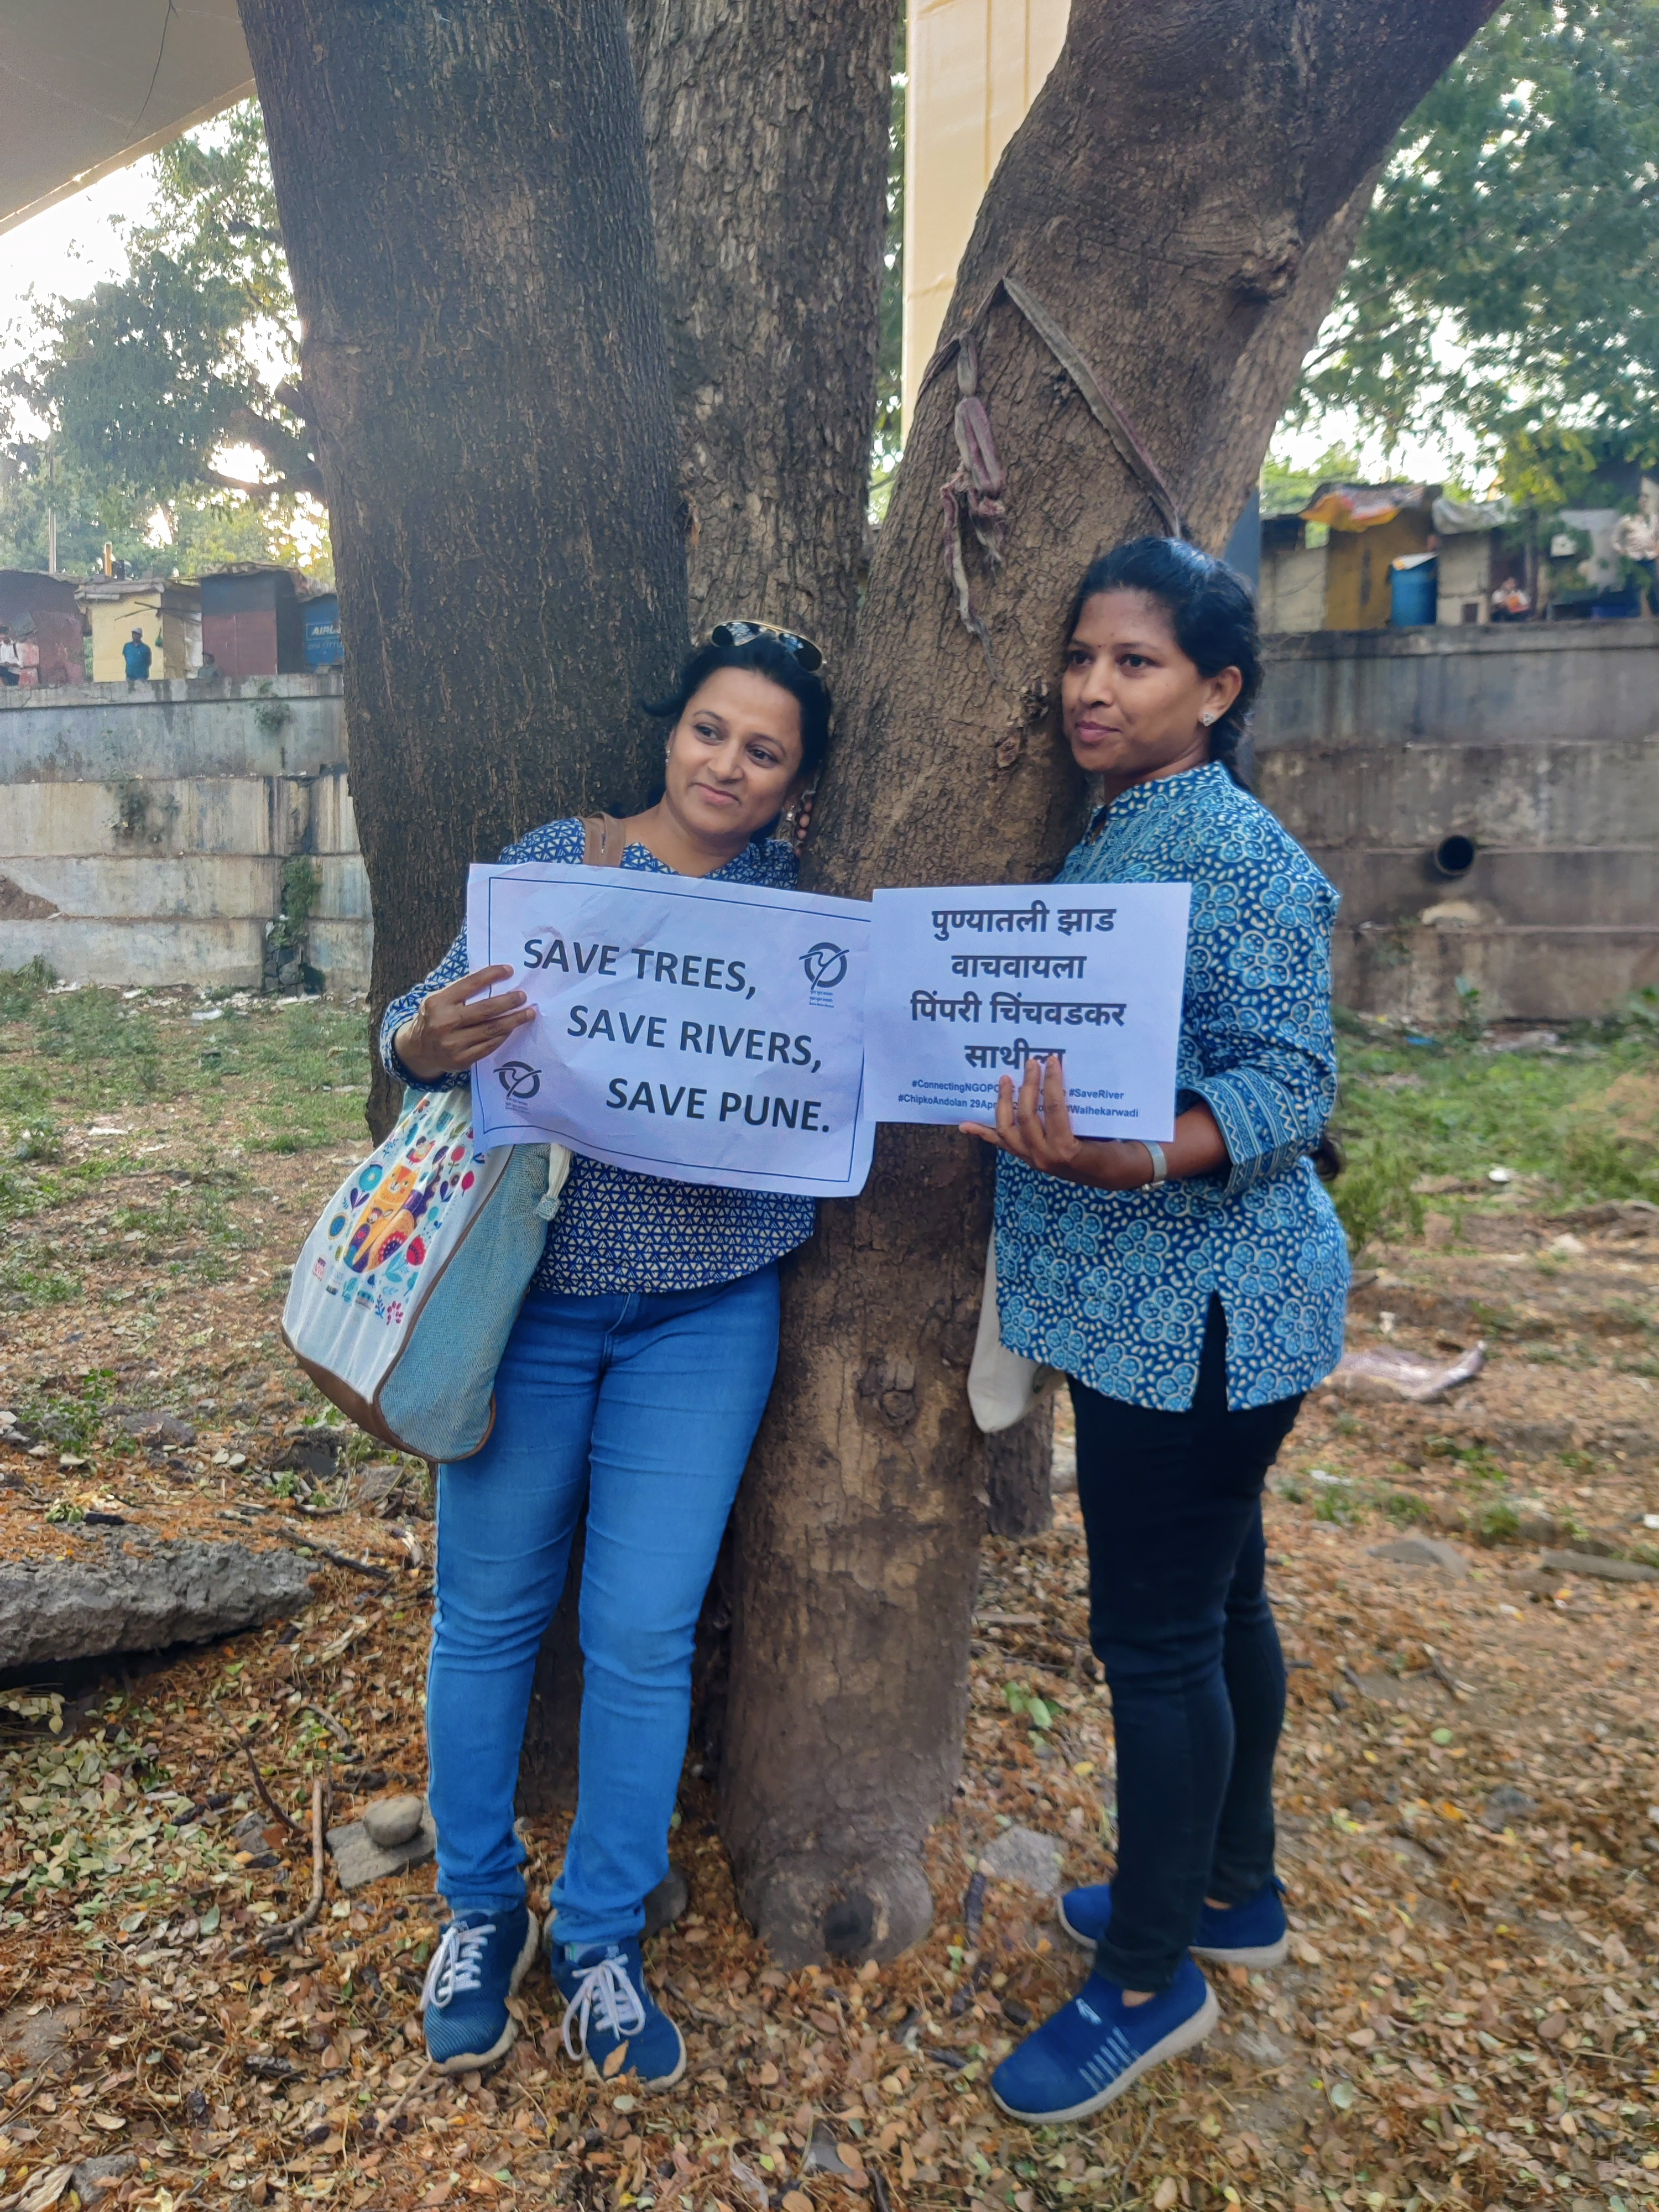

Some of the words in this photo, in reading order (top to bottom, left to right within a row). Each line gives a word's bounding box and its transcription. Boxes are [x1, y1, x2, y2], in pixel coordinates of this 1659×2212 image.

[926, 896, 1056, 948] पुण्यातली
[1052, 901, 1120, 940] झाड
[519, 934, 625, 979] SAVE
[628, 943, 760, 1004] TREES,
[945, 950, 1095, 984] वाचवायला
[561, 998, 670, 1053] SAVE
[672, 1015, 827, 1076] RIVERS,
[906, 983, 988, 1030] पिंपरी
[959, 1035, 1031, 1075] साथी
[986, 989, 1128, 1030] चिंचवडकर
[598, 1071, 713, 1126] SAVE
[716, 1086, 833, 1138] PUNE.
[894, 1091, 968, 1111] #ChipkoAndolan
[909, 1076, 1000, 1096] #ConnectingNGOPC
[967, 1096, 982, 1112] 29
[1067, 1084, 1127, 1101] #SaveRiver
[1070, 1101, 1141, 1121] Walhekarwadi